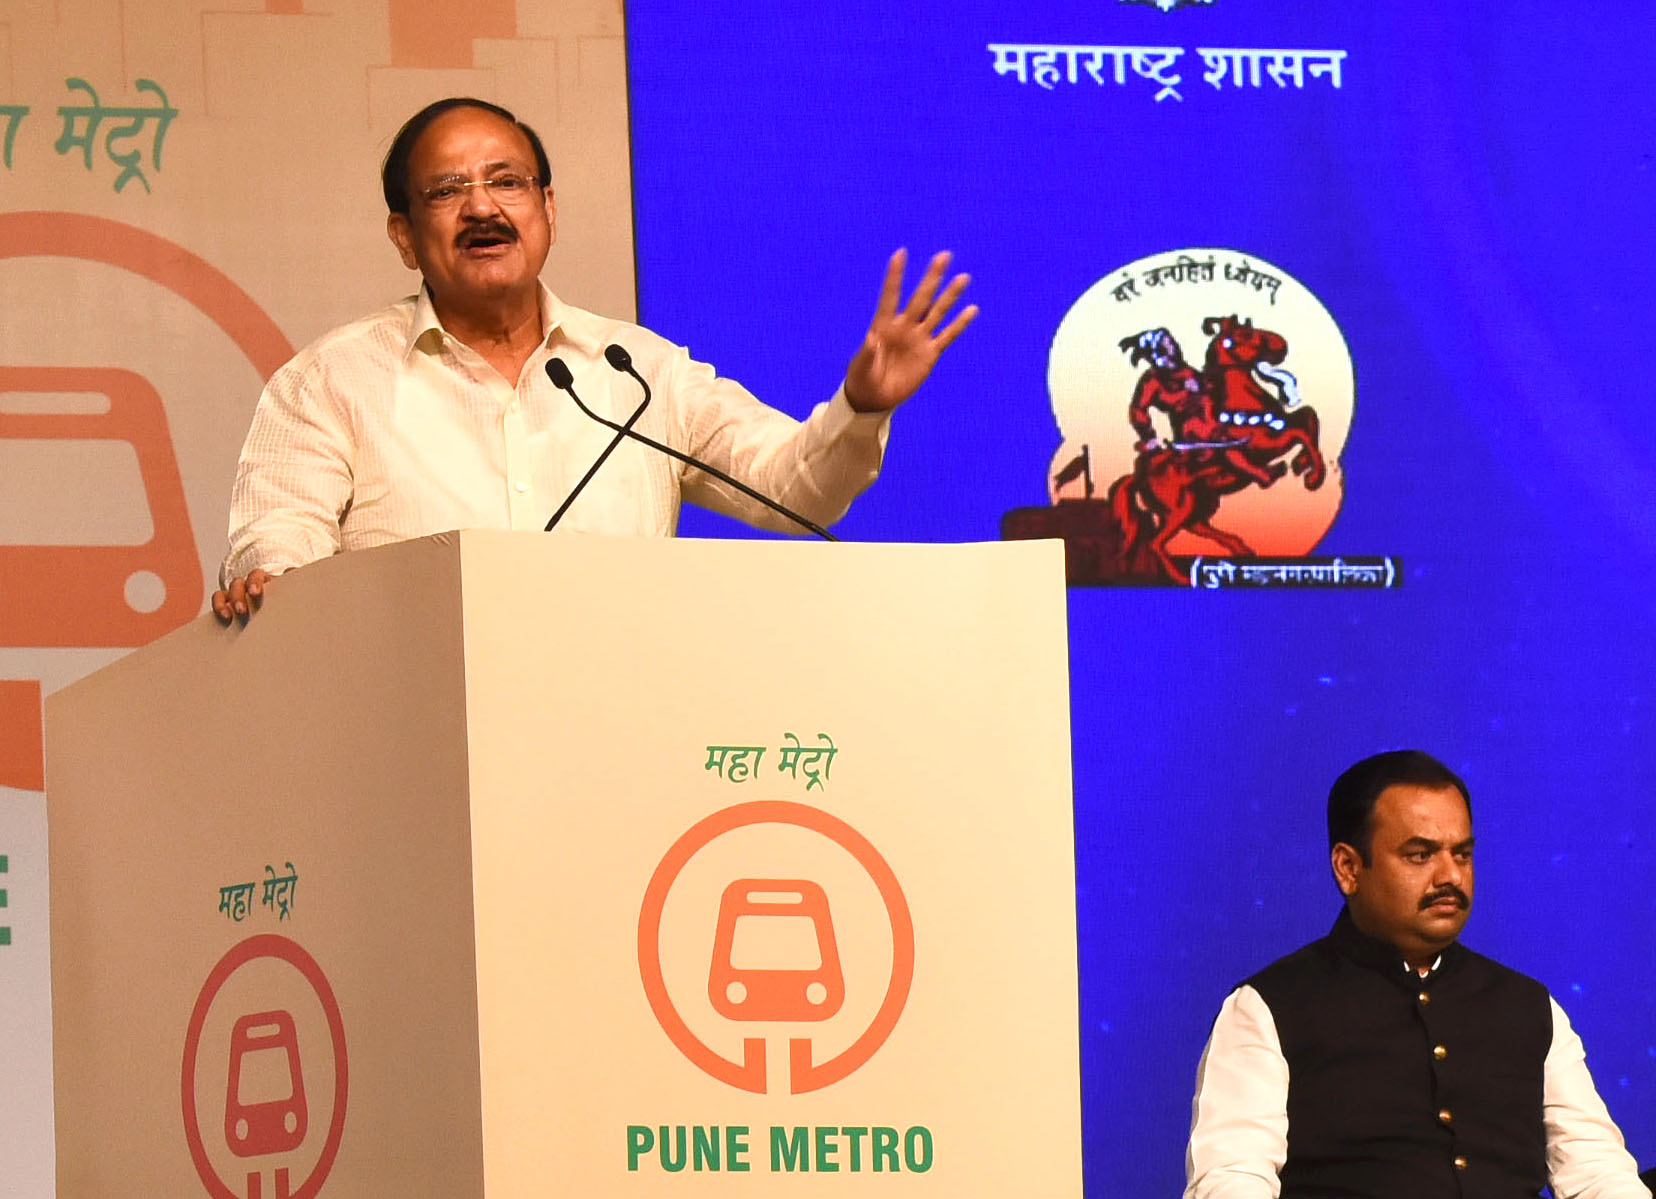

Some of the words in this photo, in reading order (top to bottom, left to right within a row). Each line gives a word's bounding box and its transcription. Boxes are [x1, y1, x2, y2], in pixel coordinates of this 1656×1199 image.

[980, 34, 1188, 105] महाराष्‍ट्र
[1195, 41, 1349, 97] शासन
[34, 65, 181, 212] मेट्रो
[1101, 261, 1148, 307] दरे
[1140, 242, 1221, 296] जनहितं
[1211, 245, 1289, 310] ध्वेयम्
[1189, 543, 1243, 595] पुणे
[1237, 548, 1391, 593] महानगरपालिका)
[701, 739, 774, 790] महा
[763, 724, 842, 798] मेट्रो
[212, 877, 259, 927] महा
[251, 855, 305, 923] मेट्रो
[621, 1119, 757, 1179] PUNE
[763, 1121, 935, 1179] METRO